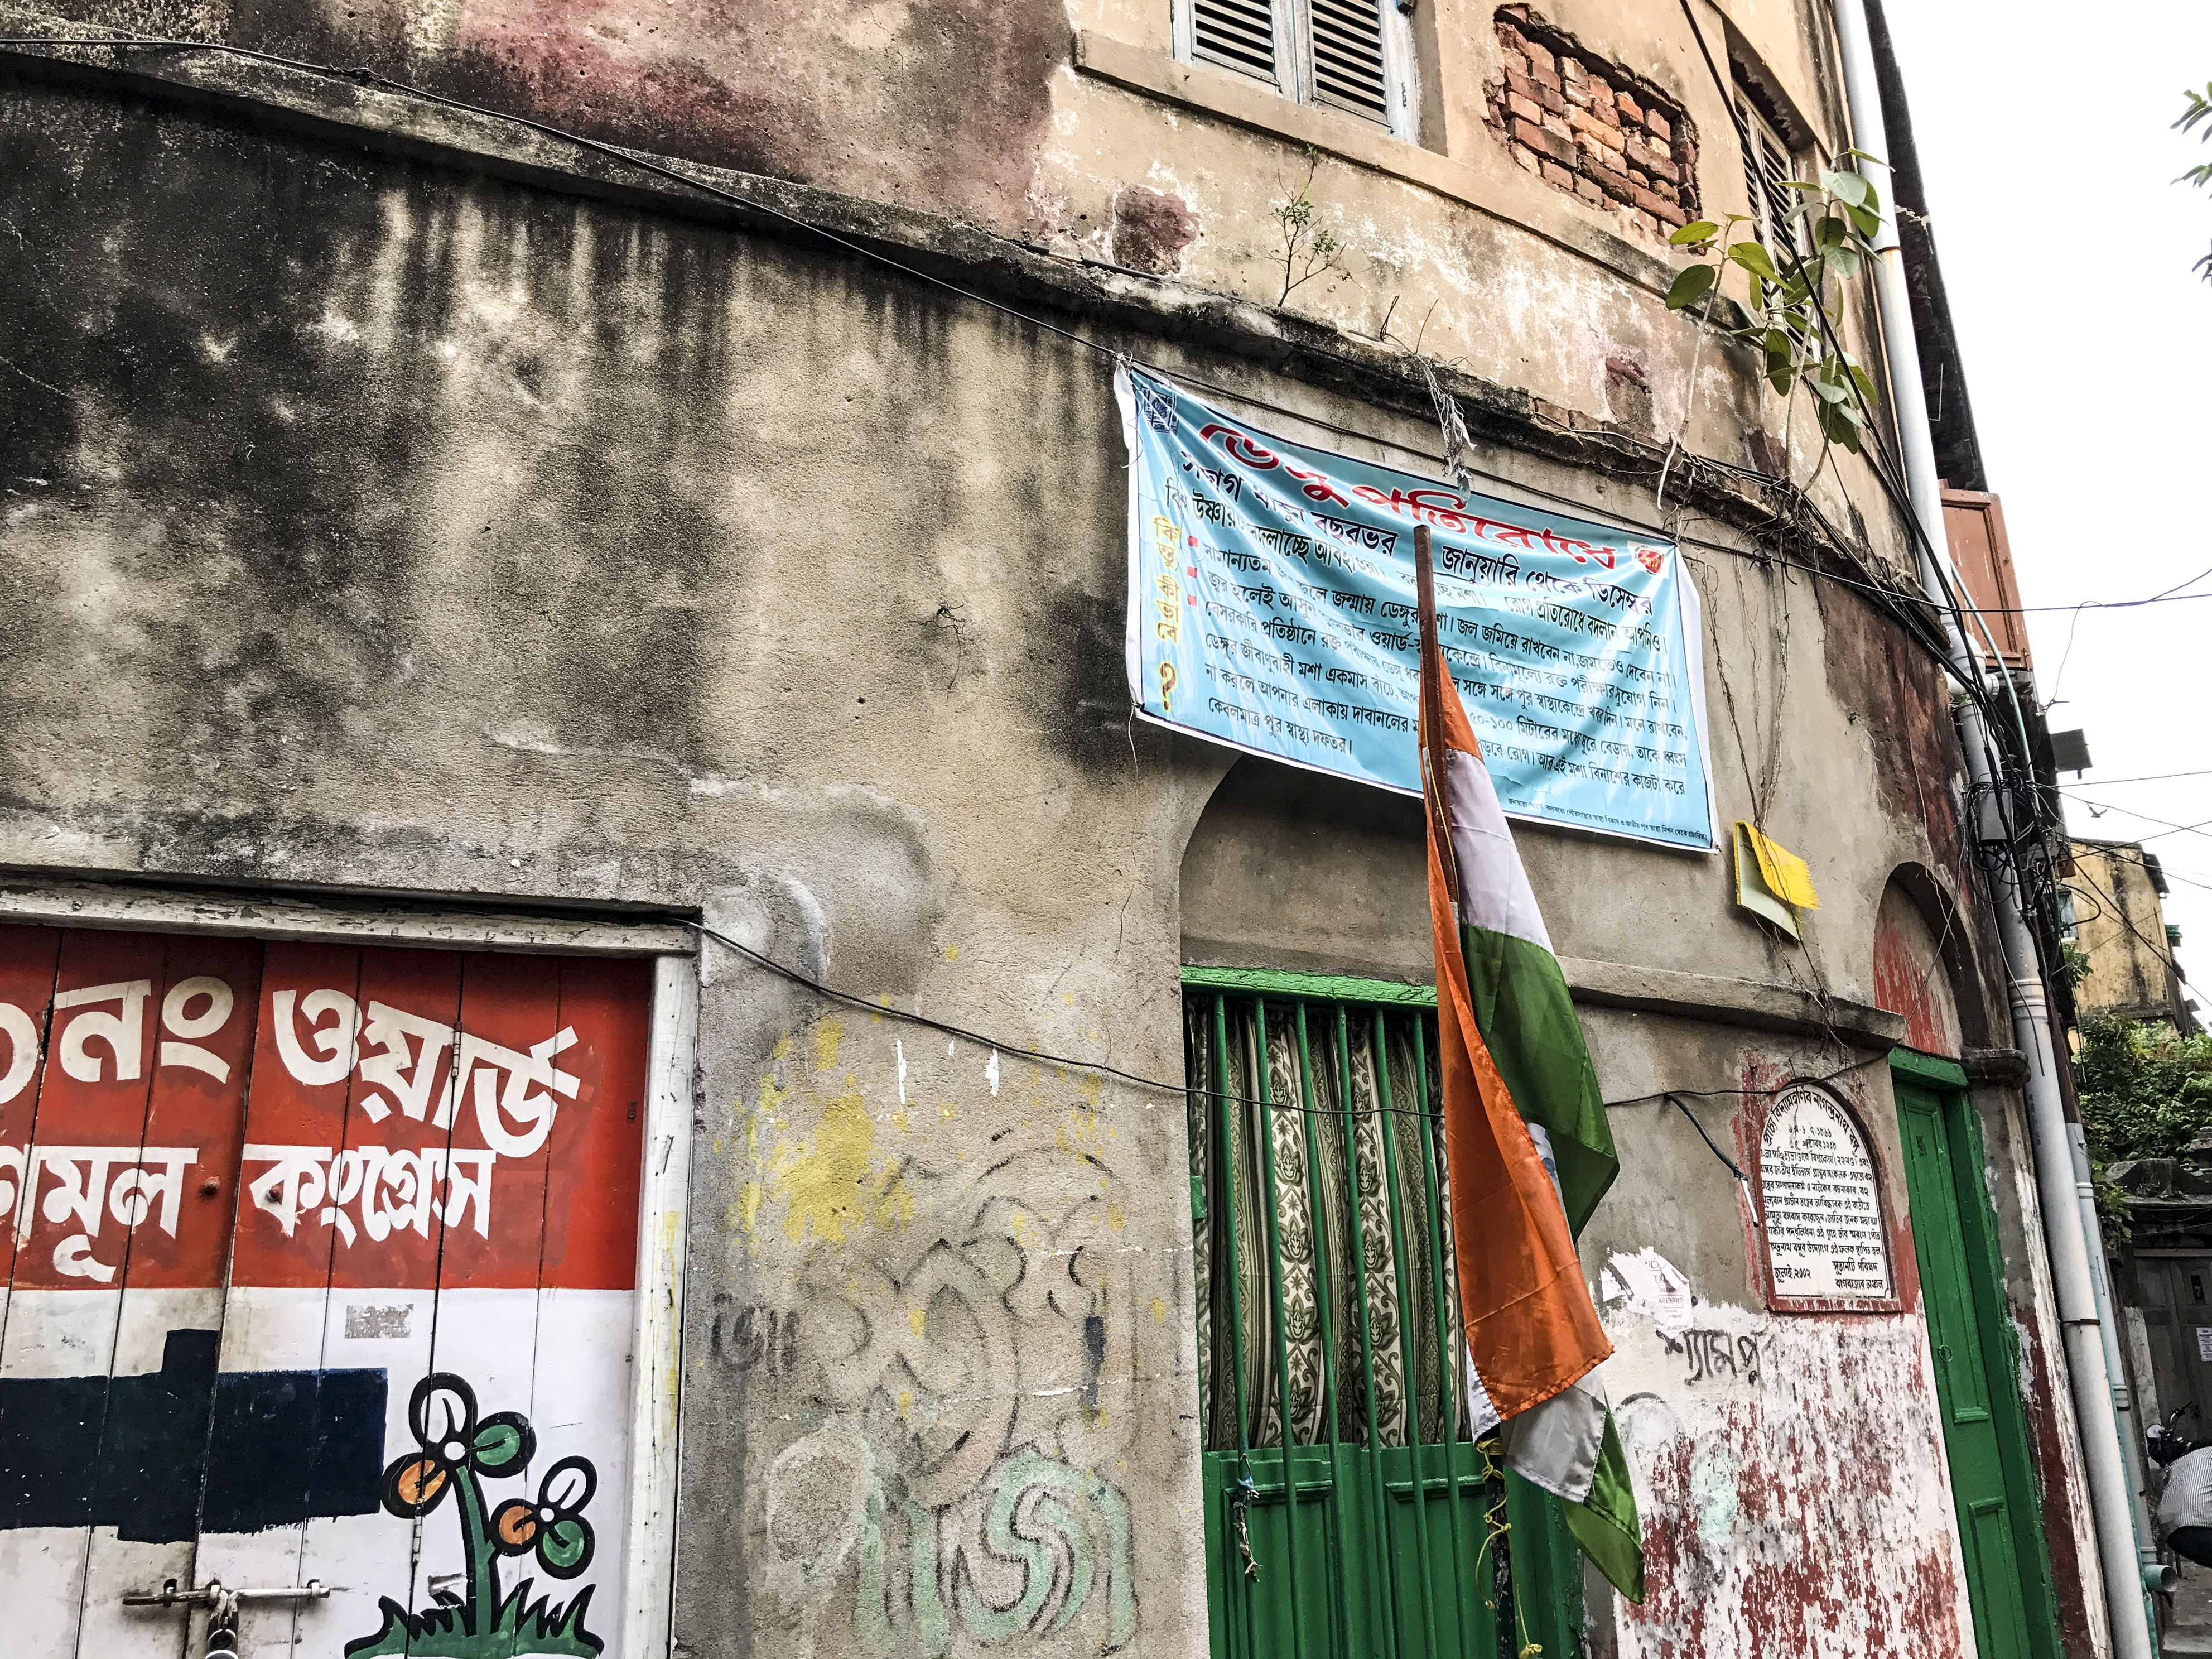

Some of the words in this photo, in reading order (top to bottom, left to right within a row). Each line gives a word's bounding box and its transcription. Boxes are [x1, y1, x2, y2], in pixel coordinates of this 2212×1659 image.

[1163, 470, 1317, 569] বিশ্ব উষ্ণার বদলাচ্ছে
[1312, 504, 1406, 570] বছরভর
[1346, 477, 1623, 583] পতিরোধে
[1202, 541, 1276, 577] সামান্যতম
[1429, 536, 1523, 598] জানুয়ারি
[1201, 661, 1222, 682] না
[1203, 627, 1242, 664] ডেঙ্গুর
[1203, 599, 1261, 639] বেসরকারি
[1204, 692, 1262, 732] কেবলমাত্র
[1219, 668, 1260, 695] করলে
[1204, 569, 1281, 612] জ্বর হলেই
[1236, 633, 1296, 681] জীবাণুবাহী
[1254, 713, 1285, 744] পুর
[1256, 675, 1304, 712] আপনার
[1259, 613, 1319, 649] প্রতিষ্ঠানে
[1281, 718, 1313, 748] স্বাস্থ্য
[1276, 592, 1321, 623] আসুন
[1291, 655, 1324, 684] মশা
[1300, 694, 1354, 726] এলাকায়
[1318, 629, 1346, 653] রক্ত
[1308, 729, 1360, 760] দফতর।
[1325, 665, 1371, 695] একমাস
[1329, 587, 1379, 619] জন্মায়
[1341, 637, 1381, 669] পরীক্ষ্যয়
[1351, 703, 1414, 735] দাবানলের
[1369, 672, 1400, 703] বাচে
[1366, 627, 1416, 656] ওয়ার্ড
[1452, 613, 1481, 643] জল
[1458, 676, 1490, 700] সঙ্গে
[1468, 709, 1518, 736] ৫০-১০০
[1481, 616, 1522, 656] জমিয়ে
[1487, 681, 1516, 705] সঙ্গে
[1480, 646, 1548, 689] বিনামূল্যে
[1503, 744, 1535, 768] রোগ
[1516, 682, 1537, 715] পুর
[1510, 709, 1562, 744] মিটারের
[1517, 632, 1564, 669] রাখবেন
[1500, 593, 1591, 636] রোগ প্রতিরোধে
[1533, 748, 1570, 778] আরএই
[1538, 667, 1572, 691] রক্ত
[1533, 691, 1587, 723] স্বাস্থ্যকেন্দ্র
[1565, 759, 1591, 781] মশা
[1558, 725, 1601, 758] মধো ধুরে
[1523, 555, 1662, 629] থেকে ডিসেম্বর
[1569, 671, 1618, 707] পরীক্ষার
[1562, 646, 1631, 677] না,জমতেও
[1584, 703, 1622, 728] খবর দিন
[1584, 612, 1623, 648] বদলান
[1583, 754, 1633, 789] বিনাশের
[1598, 733, 1634, 764] বেড়ায়,
[1613, 682, 1648, 714] সুযোগ
[1617, 709, 1651, 734] ৷মনে
[1620, 621, 1664, 657] আপনিও
[1627, 769, 1665, 791] কাজটা
[1633, 740, 1666, 765] তাকে
[1624, 661, 1681, 690] দেবেন না।
[1644, 685, 1674, 719] নিন
[1644, 716, 1686, 742] রাখবেন
[1661, 774, 1689, 796] করে
[1662, 746, 1690, 770] ধ্বংস
[1673, 825, 1708, 843] থেকে প্রচারিত।
[9, 962, 249, 1125] নং
[262, 972, 591, 1172] ওয়ার্ড
[1757, 1112, 1781, 1146] প্রাচা
[1760, 1143, 1811, 1165] লা সাহিত্যভাণ্ডারে
[1758, 1162, 1814, 1182] এসের জাতীয় ইতিহাস'
[1767, 1084, 1815, 1122] বিদ্যামরাণর
[1808, 1148, 1837, 1167] বিশ্বকোষ
[1811, 1090, 1850, 1138] নগেন্দ্রনাথ
[1811, 1165, 1851, 1184] গ্রন্থের সংকলক
[1844, 1126, 1862, 1161] বসু
[1845, 1168, 1874, 1184] এছাড়া বহু
[11, 1129, 204, 1288] মূল
[232, 1132, 503, 1253] কংগ্রেস